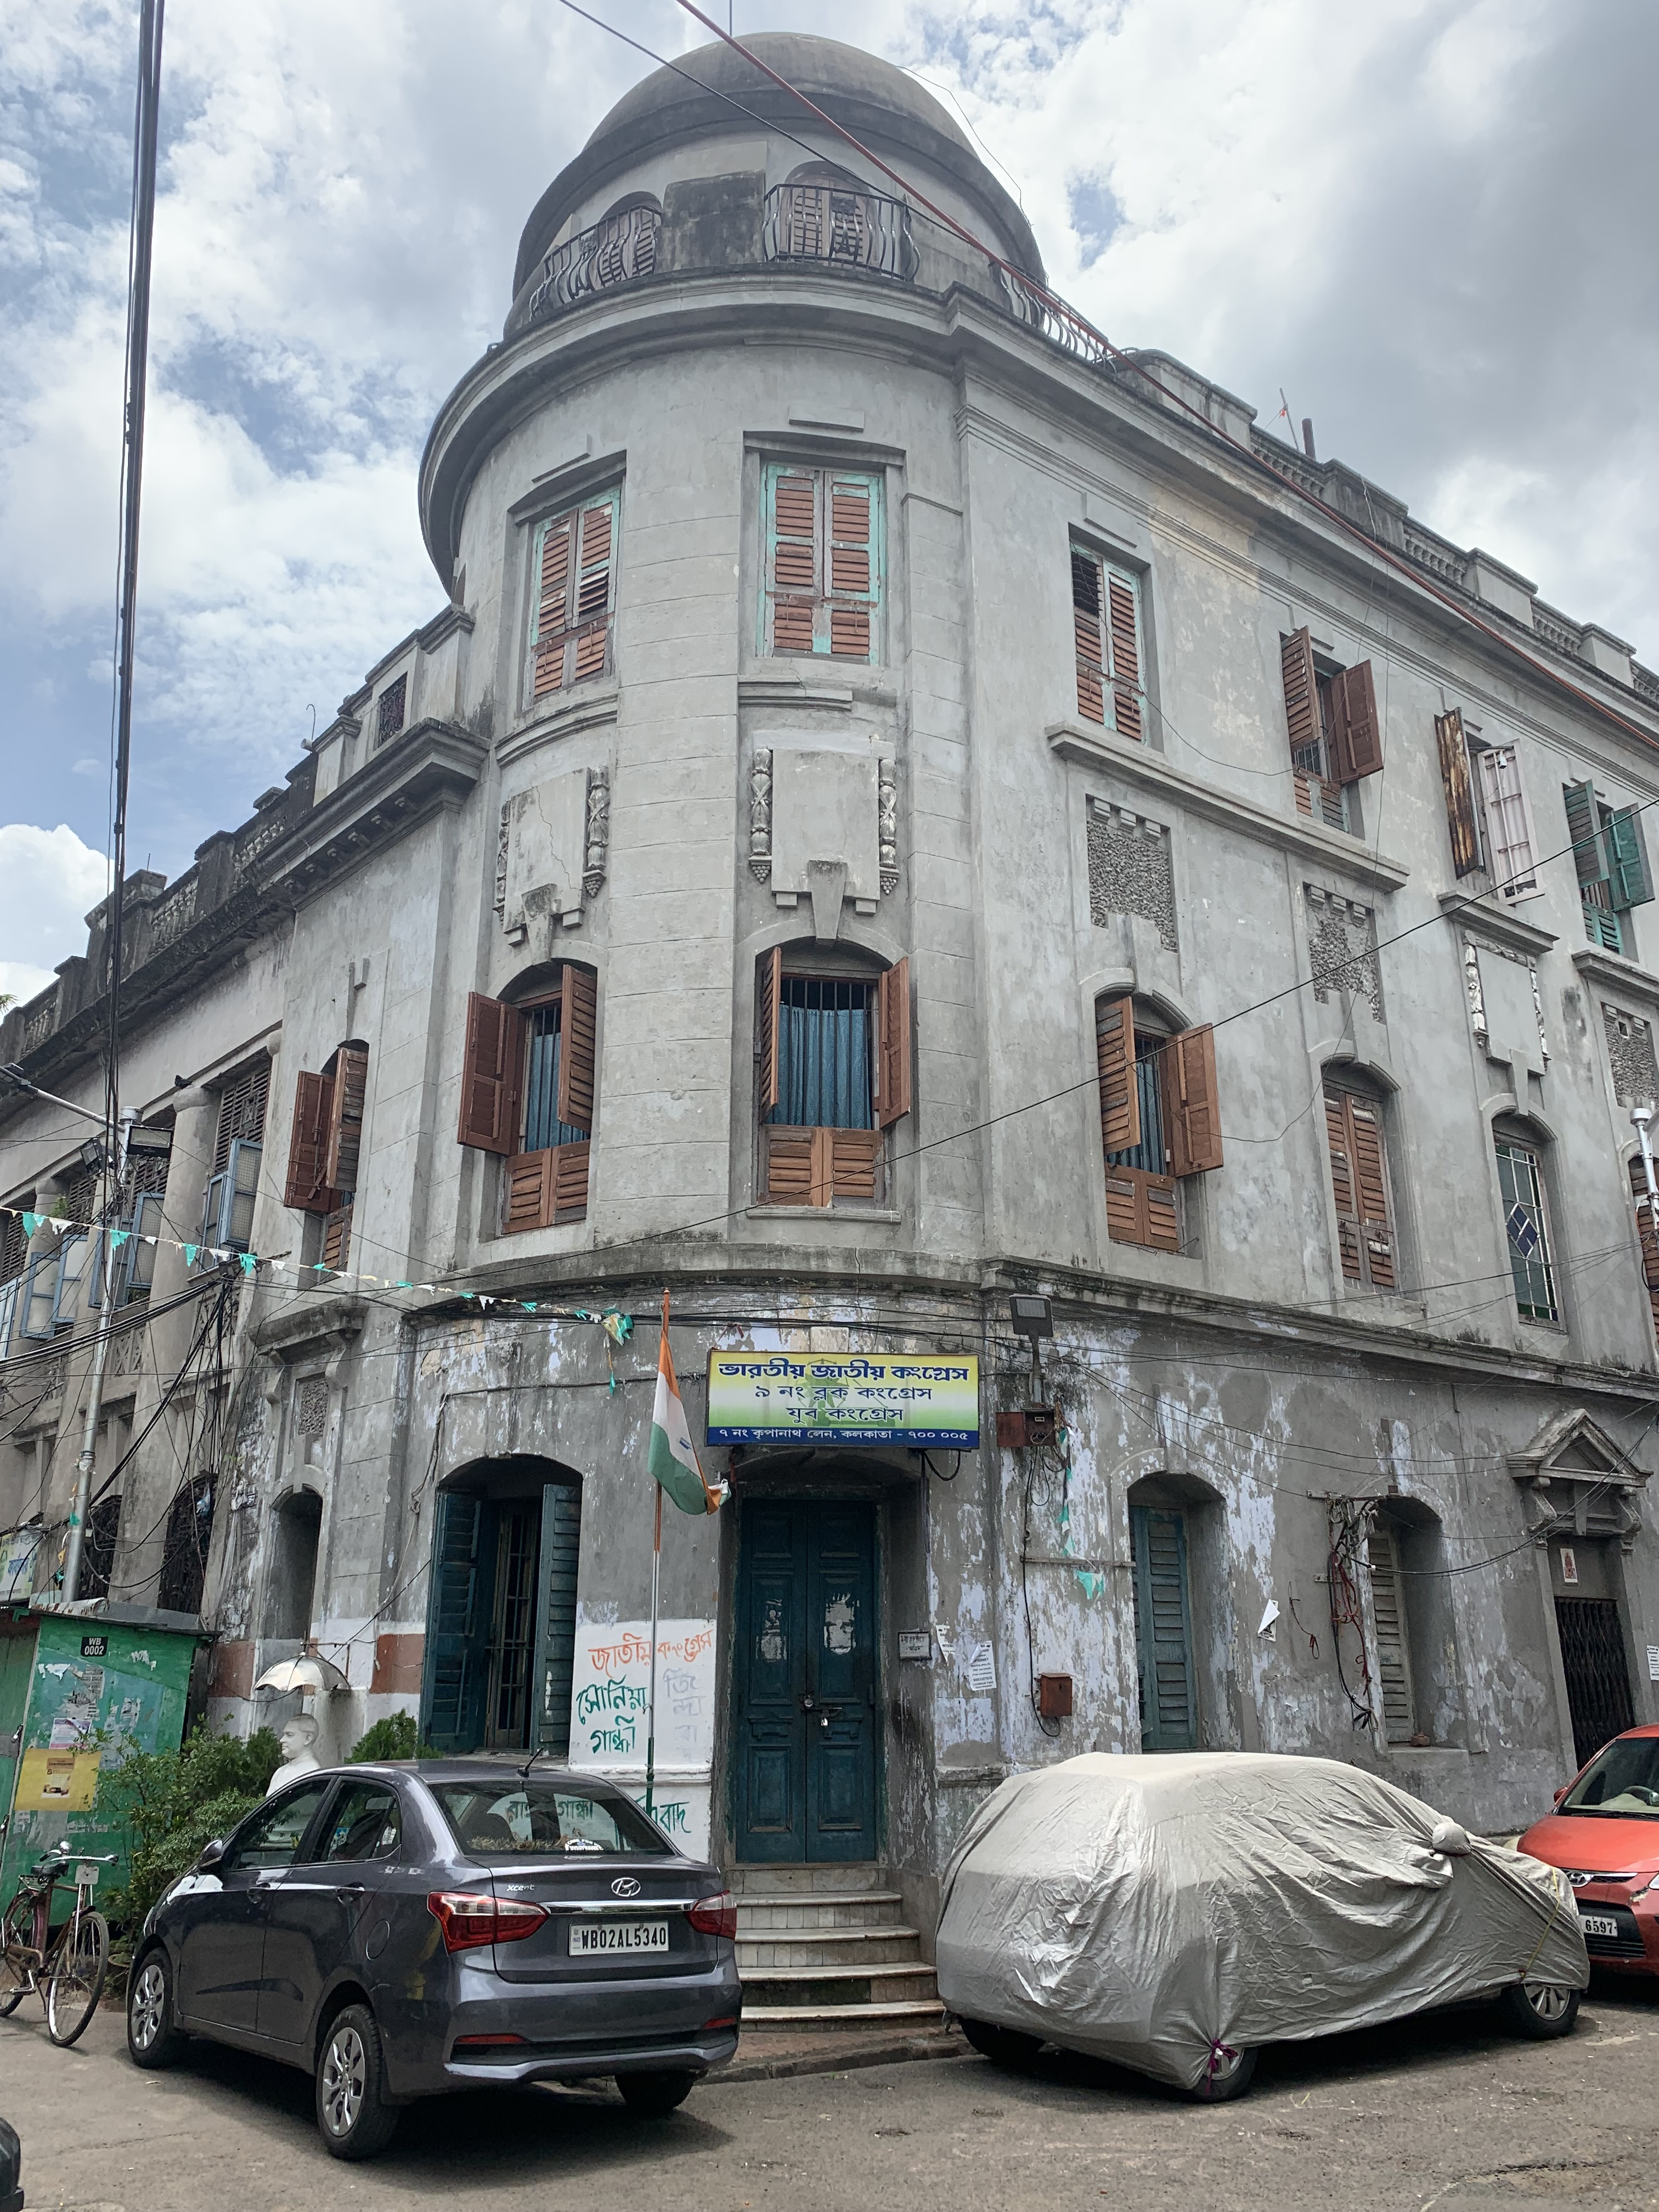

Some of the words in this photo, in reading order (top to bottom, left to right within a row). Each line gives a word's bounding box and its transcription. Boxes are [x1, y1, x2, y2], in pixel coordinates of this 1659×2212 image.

[714, 1350, 812, 1382] ভারতীয়
[806, 1358, 885, 1386] জাতীয়
[889, 1364, 974, 1386] কংগ্রেস
[751, 1379, 809, 1403] ৯নং
[809, 1381, 854, 1409] ব্লক
[848, 1381, 934, 1403] কংগ্রেস
[780, 1403, 905, 1428] যুব কংগ্রেস
[717, 1424, 752, 1440] ৭নং
[746, 1423, 804, 1441] কৃপানাথ
[803, 1427, 838, 1443] লেন,
[838, 1426, 895, 1442] কলকাতা
[901, 1426, 969, 1444] ৭০০০০৫
[584, 1626, 658, 1679] জাতীয়
[648, 1624, 714, 1671] কংগ্রেস
[566, 1667, 650, 1734] সোনিয়া
[582, 1706, 648, 1759] গন্ধী